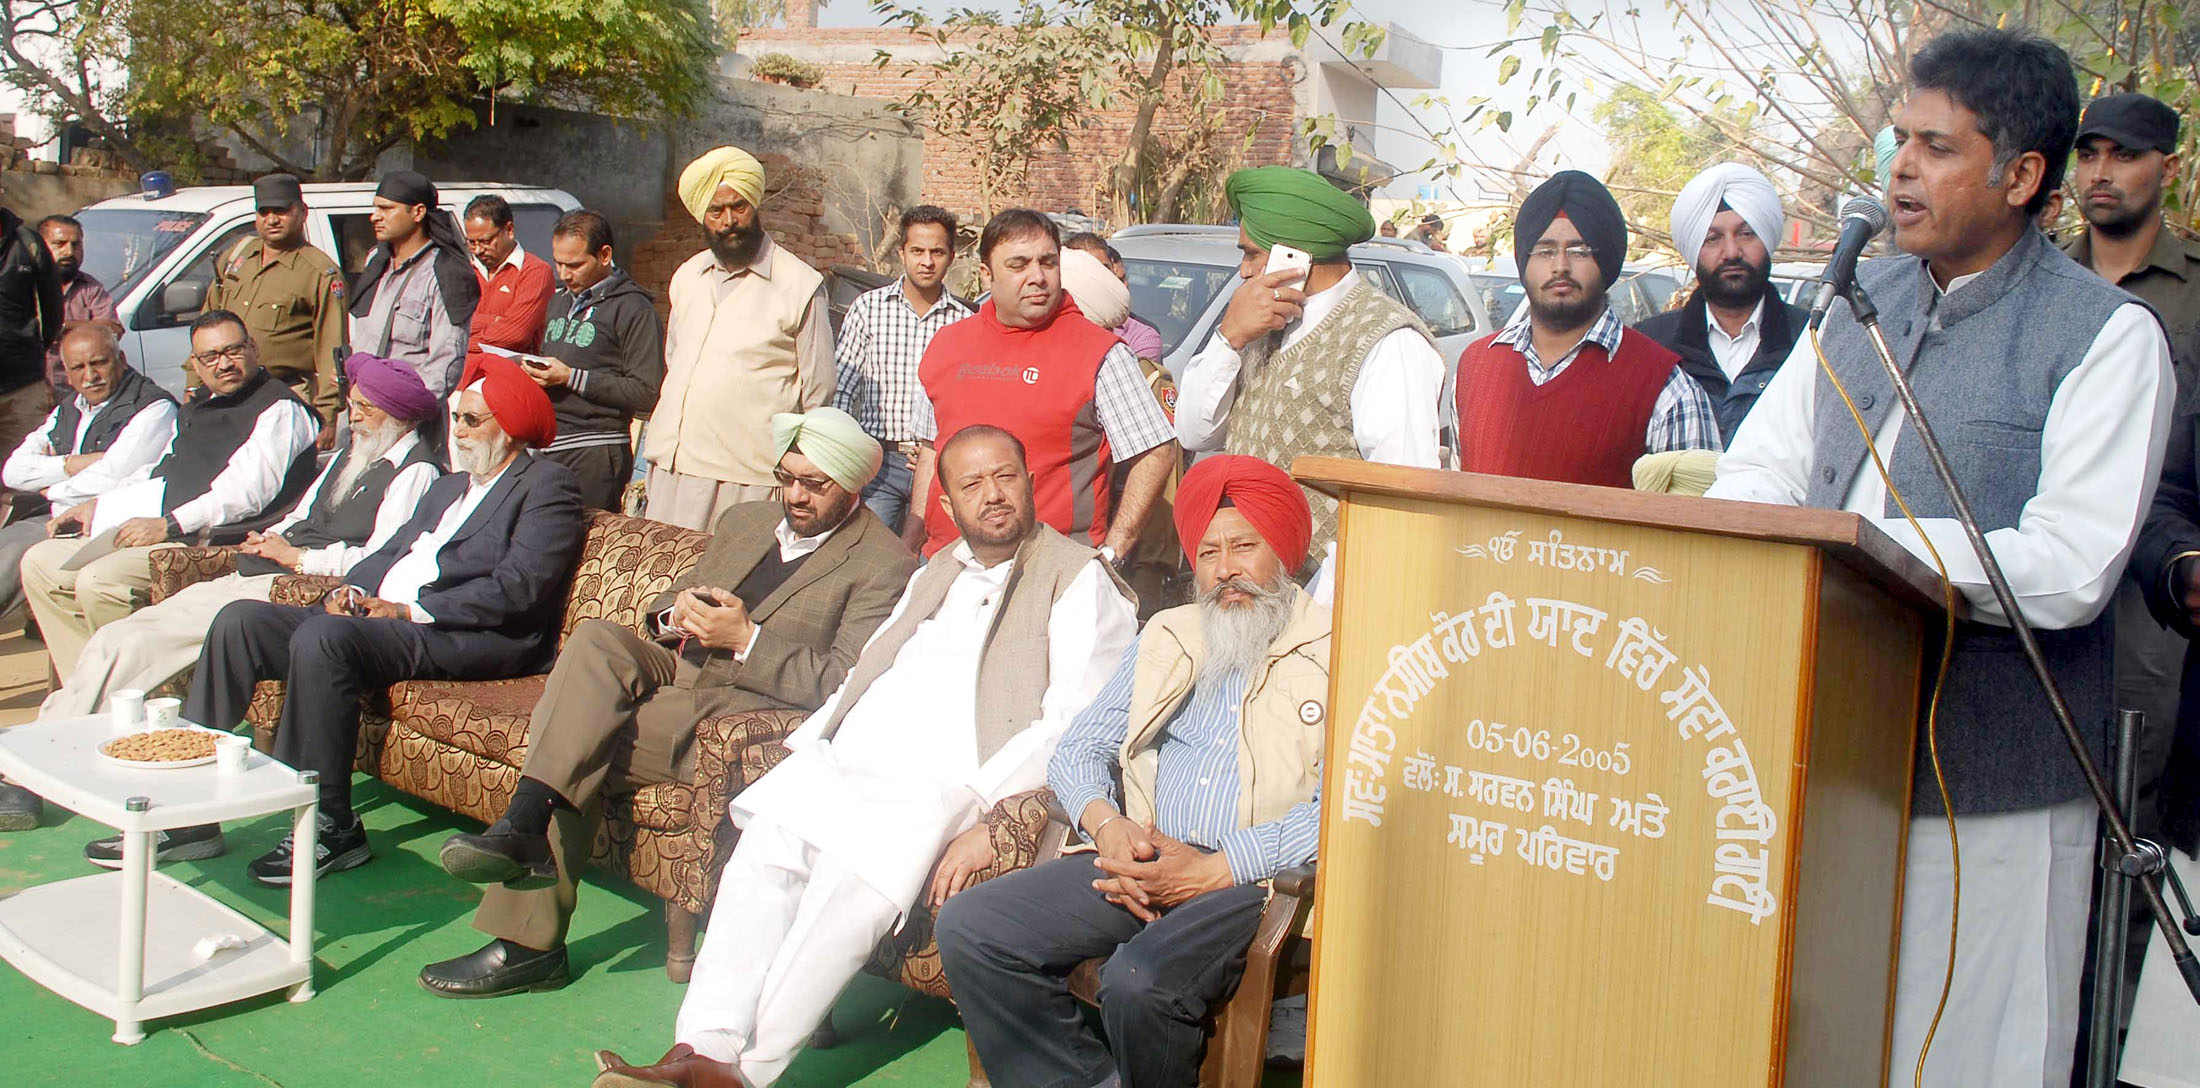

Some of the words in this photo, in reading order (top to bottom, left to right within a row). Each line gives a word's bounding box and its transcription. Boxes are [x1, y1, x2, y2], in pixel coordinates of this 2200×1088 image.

[1486, 521, 1530, 572] ੧ਓ
[1521, 522, 1635, 580] ਸਤਿਨਾਮ
[1333, 757, 1393, 837] ਸਵ
[1339, 683, 1403, 779] ਮਾਤਾ
[1365, 617, 1455, 725] ਨਸੀਬ
[1397, 739, 1443, 797] ਵਲੋਂ:
[1437, 760, 1469, 806] ਸ.
[1424, 597, 1485, 675] ਕੌਰ
[1433, 810, 1512, 873] ਸਮੂਹ
[1471, 587, 1521, 655] ਦੀ
[1466, 763, 1540, 817] ਸਰਵਨ
[1451, 713, 1635, 784] 05-06-2005
[1519, 593, 1615, 667] ਯਾਦ
[1510, 818, 1627, 891] ਪਰਿਵਾਰ
[1537, 772, 1603, 833] ਸਿੰਘ
[1599, 789, 1676, 843] ਅਤੇ
[1597, 608, 1689, 701] ਵਿੱਚ
[1649, 653, 1747, 757] ਸੇਵਾ
[1693, 732, 1783, 849] ਕਰਾਈ
[1695, 841, 1781, 930] ਗਈ